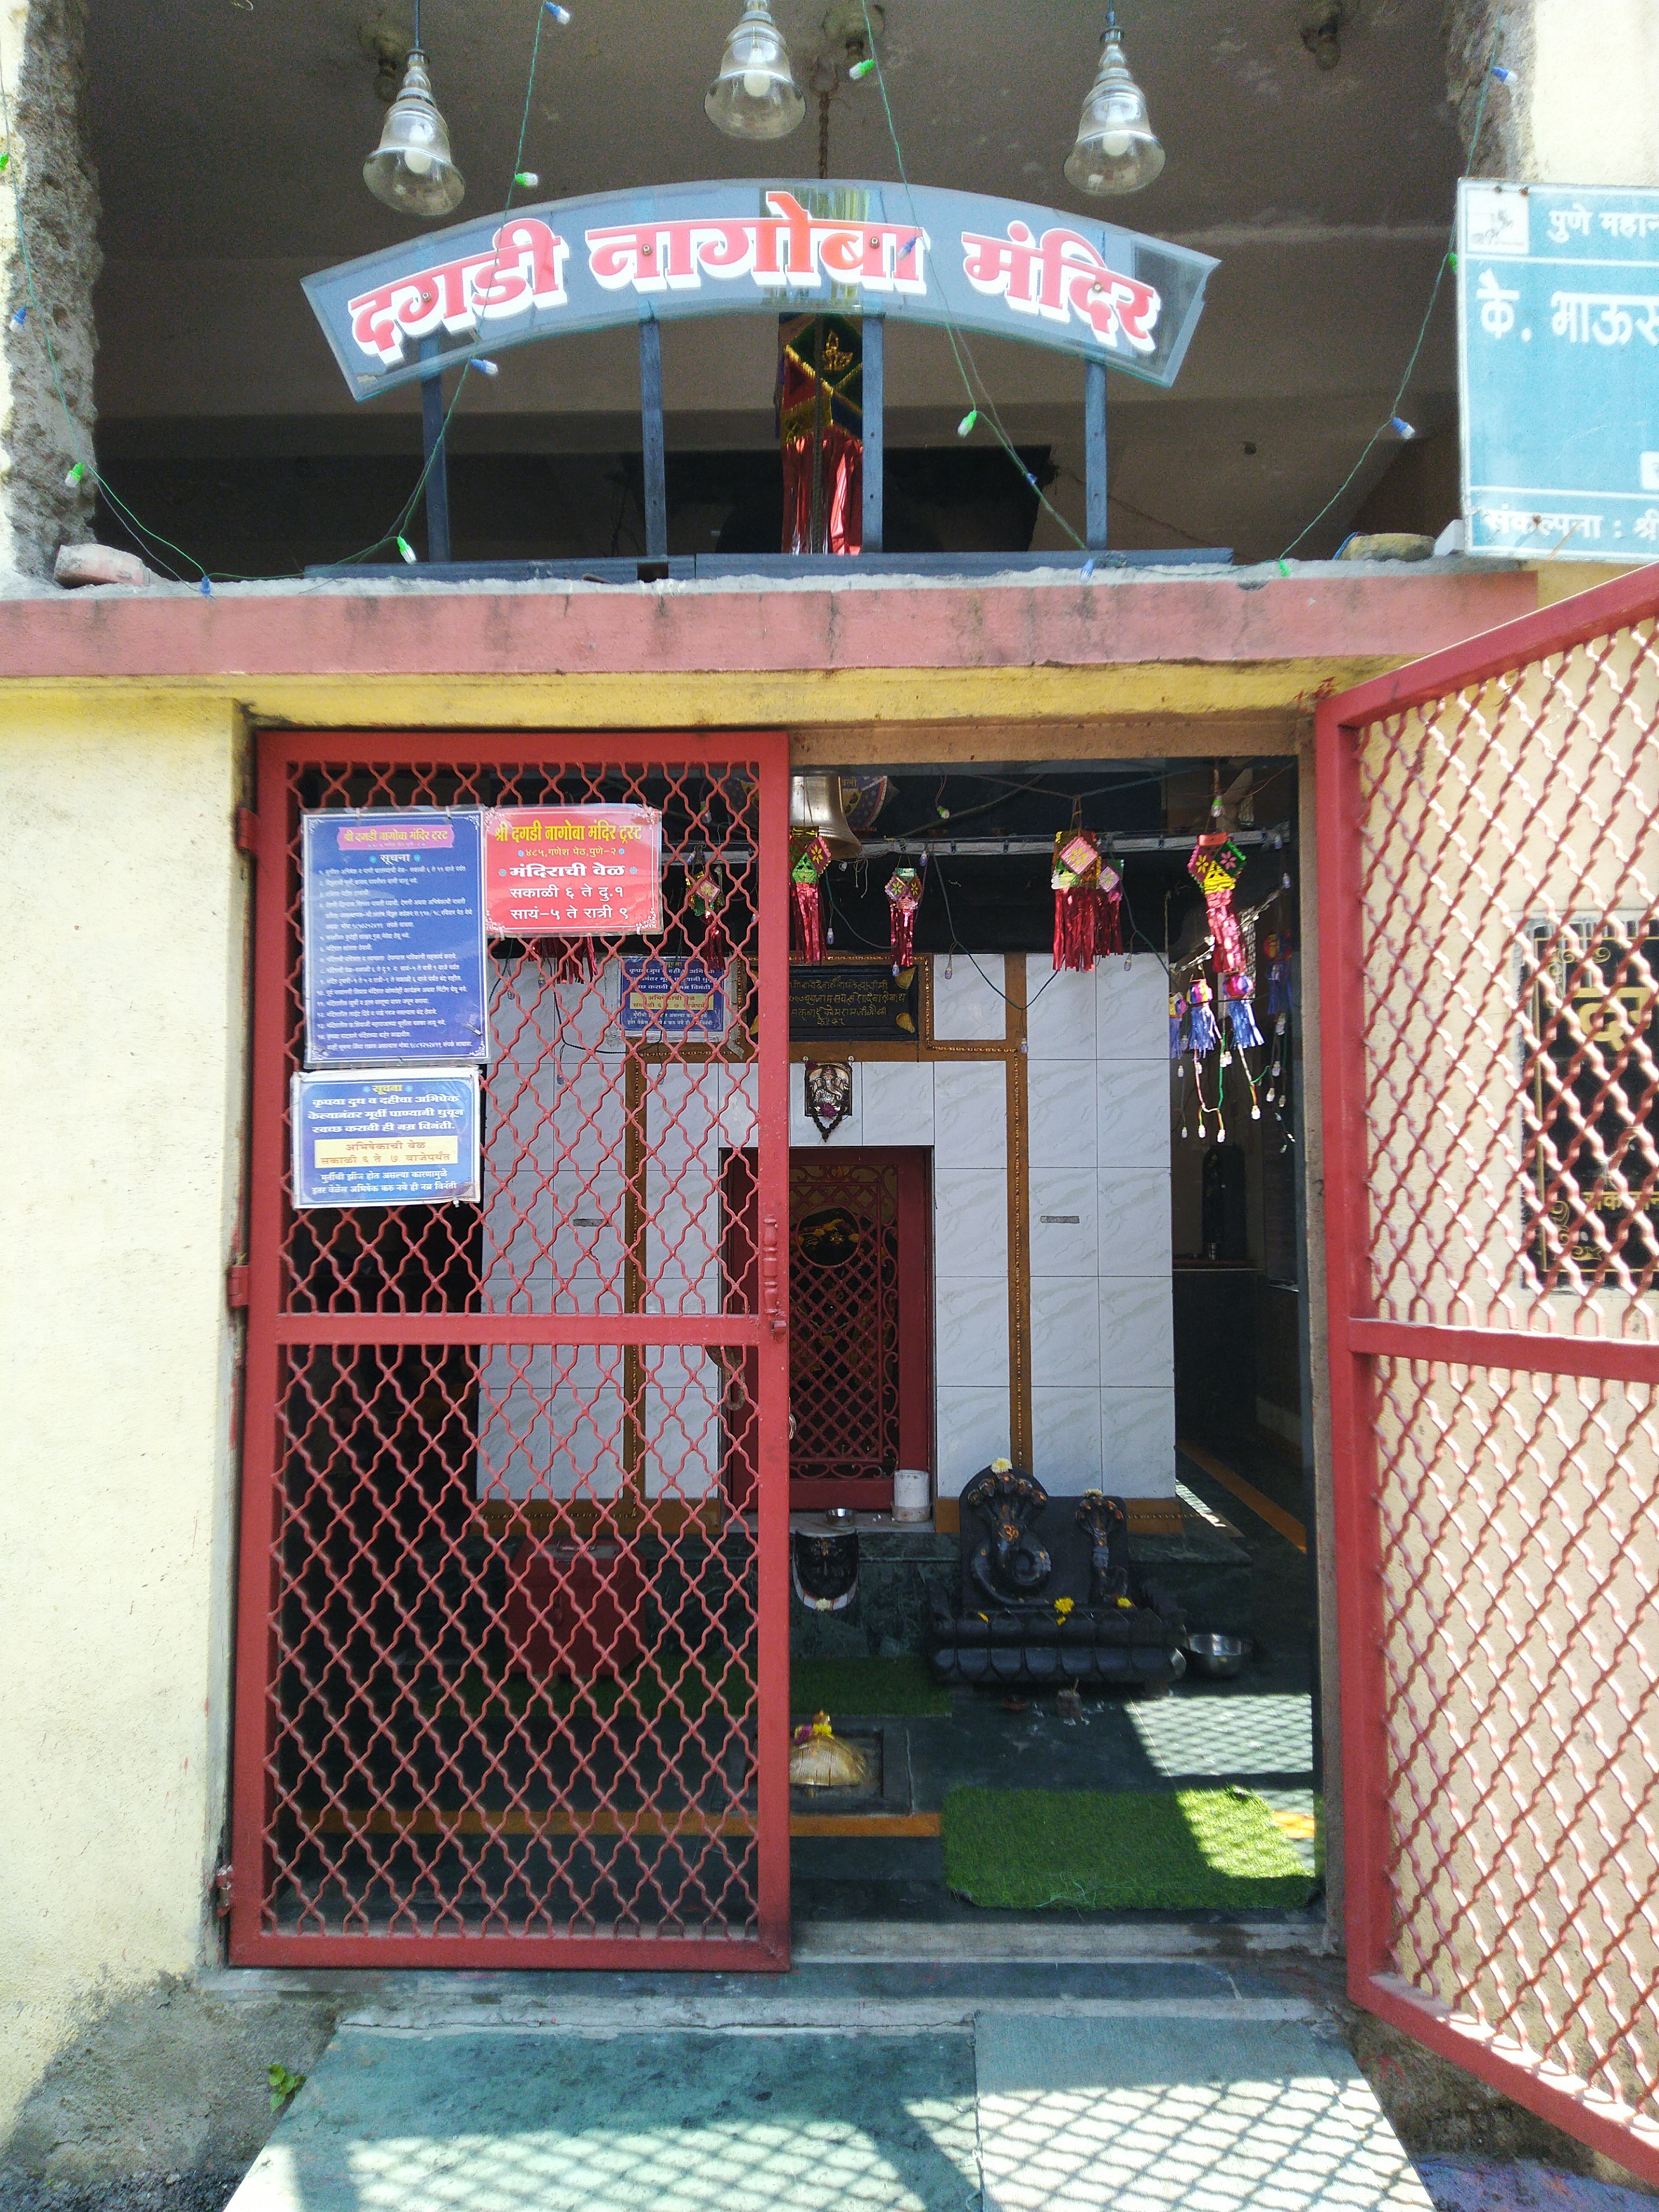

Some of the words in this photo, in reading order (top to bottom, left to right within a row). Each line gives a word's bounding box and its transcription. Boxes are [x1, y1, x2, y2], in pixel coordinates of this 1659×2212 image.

[1532, 191, 1594, 255] पुणे
[572, 181, 950, 309] नागोबा
[947, 202, 1181, 365] मंदिर
[321, 204, 576, 387] दगडी
[1461, 262, 1537, 356] कै.
[1470, 491, 1628, 546] संकल्पनाः
[343, 828, 354, 844] श्री
[408, 825, 431, 841] मंदिर
[430, 828, 450, 842] ट्रस्ट
[489, 820, 510, 845] श्री
[510, 817, 544, 844] दगडी
[542, 816, 586, 844] नागोबा
[585, 816, 618, 842] मंदिर
[617, 825, 646, 846] ट्रस्ट
[378, 851, 413, 865] सूचना
[523, 847, 548, 860] ४८५,
[546, 844, 570, 860] गणेश
[570, 845, 589, 859] पेठ,
[588, 845, 618, 859] पुणे-२
[508, 862, 591, 879] मंदिराची
[590, 859, 628, 879] वेळ
[506, 881, 561, 903] सकाळी
[562, 883, 579, 901] ६
[578, 880, 596, 901] ते
[595, 883, 615, 905] दु.
[612, 882, 627, 899] १
[507, 902, 564, 923] सायं-५
[562, 902, 581, 924] ते
[581, 902, 616, 920] रात्री
[616, 905, 633, 921] ९
[371, 1082, 405, 1096] सूचना
[309, 1097, 347, 1109] कृपया
[347, 1094, 367, 1109] दुध
[366, 1095, 379, 1107] व
[378, 1093, 415, 1107] दहीचा
[412, 1092, 463, 1107] अभिषेक
[304, 1109, 363, 1121] केल्यानंतर
[363, 1107, 390, 1122] मूर्ती
[388, 1107, 439, 1120] पाण्यानी
[436, 1107, 465, 1120] धुवून
[310, 1123, 345, 1135] स्वच्छ
[342, 1121, 382, 1134] करावी
[380, 1121, 398, 1134] ही
[394, 1121, 418, 1134] नम्र
[416, 1119, 457, 1133] विनंती.
[342, 1138, 404, 1155] अभिषेकाची
[404, 1138, 430, 1152] वेळ
[319, 1154, 361, 1167] सकाळी
[358, 1153, 372, 1166] ६
[372, 1151, 384, 1165] त‍े
[387, 1152, 401, 1164] ७
[401, 1148, 453, 1164] वाजेपर्यंत
[381, 1168, 411, 1181] असल्या
[410, 1167, 451, 1181] कारणामुळे
[348, 1182, 380, 1195] अभिषेक
[379, 1182, 397, 1195] करु
[395, 1180, 410, 1195] नये
[409, 1181, 419, 1192] ही
[419, 1180, 433, 1192] नम्र
[432, 1178, 458, 1192] विनंती